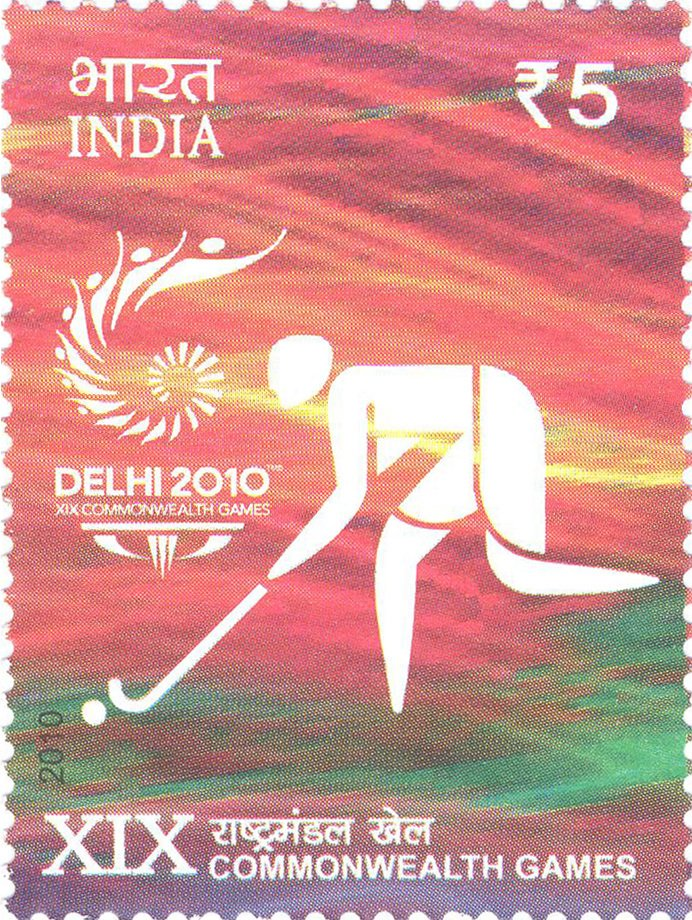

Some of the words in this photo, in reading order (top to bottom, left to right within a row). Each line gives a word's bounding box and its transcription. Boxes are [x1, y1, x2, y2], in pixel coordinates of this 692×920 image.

[63, 50, 225, 109] भारत
[513, 55, 621, 134] ₹ 5
[65, 107, 225, 162] INDIA
[51, 463, 165, 501] DELHI
[165, 460, 273, 503] 2010
[50, 501, 82, 520] XIX
[73, 498, 217, 521] COMMONWEALTH
[215, 500, 273, 523] GAMES
[45, 811, 199, 879] XIX
[209, 801, 355, 857] राष्ट्रमंडल
[204, 847, 506, 885] COMMONWEALTH
[367, 801, 439, 849] खेल
[513, 851, 640, 887] GAMES